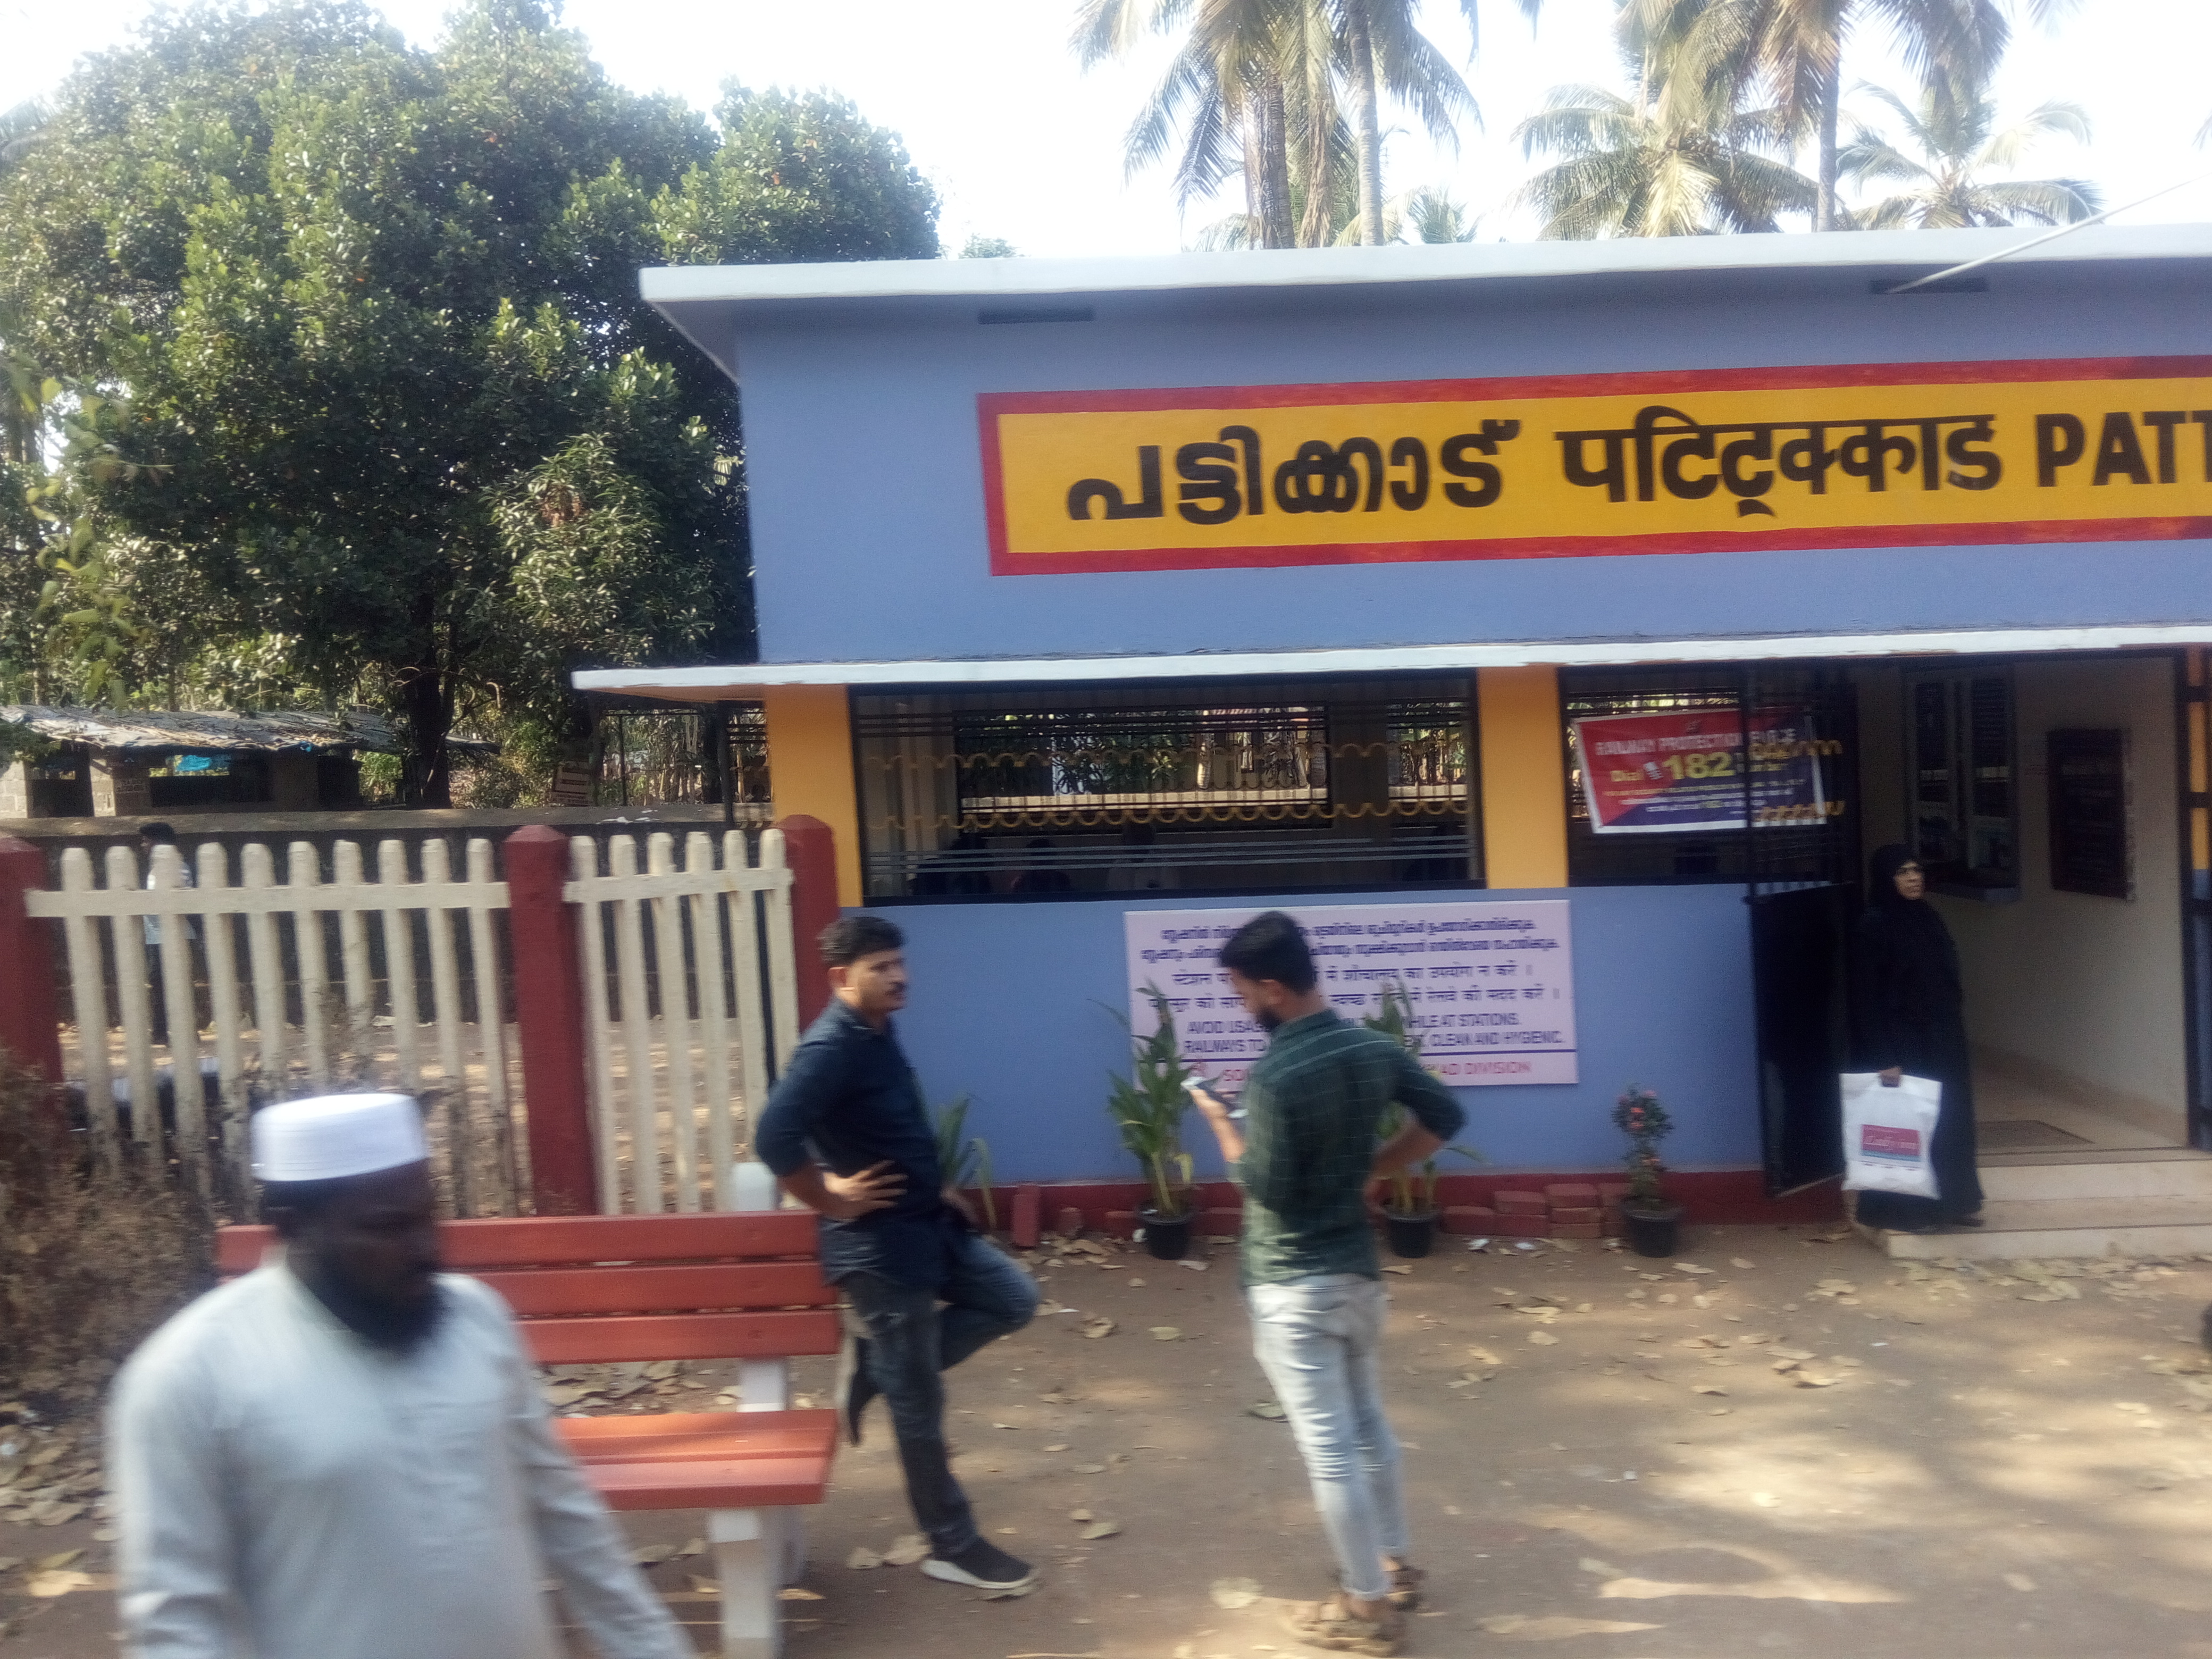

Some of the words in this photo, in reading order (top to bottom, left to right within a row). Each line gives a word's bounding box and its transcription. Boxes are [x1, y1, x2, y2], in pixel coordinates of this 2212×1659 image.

[1063, 401, 1526, 530] പടിക്കാട്
[1549, 391, 2010, 526] पटिट्क्काड
[2030, 400, 2210, 500] PATT
[1656, 725, 1752, 757] PROTECTION
[1168, 963, 1214, 987] स्टेशन
[1342, 961, 1401, 983] शौचालय
[1398, 964, 1427, 983] का
[1428, 956, 1477, 982] उपयोग
[1192, 989, 1217, 1013] को
[1327, 992, 1368, 1008] स्वच्छ
[1369, 983, 1425, 1006] रखने में
[1422, 982, 1461, 1006] रेलवे
[1462, 981, 1484, 1002] की
[1482, 985, 1519, 1004] मदद
[1183, 1017, 1226, 1036] AVOID
[1179, 1036, 1248, 1054] RAILWAYS
[1401, 1011, 1457, 1030] HLE AT
[1428, 1029, 1477, 1048] CLEAN
[1473, 1029, 1501, 1049] AND
[1455, 1011, 1521, 1029] STATIONS
[1500, 1024, 1563, 1048] HYGENIC
[1463, 1058, 1534, 1078] DIVISION